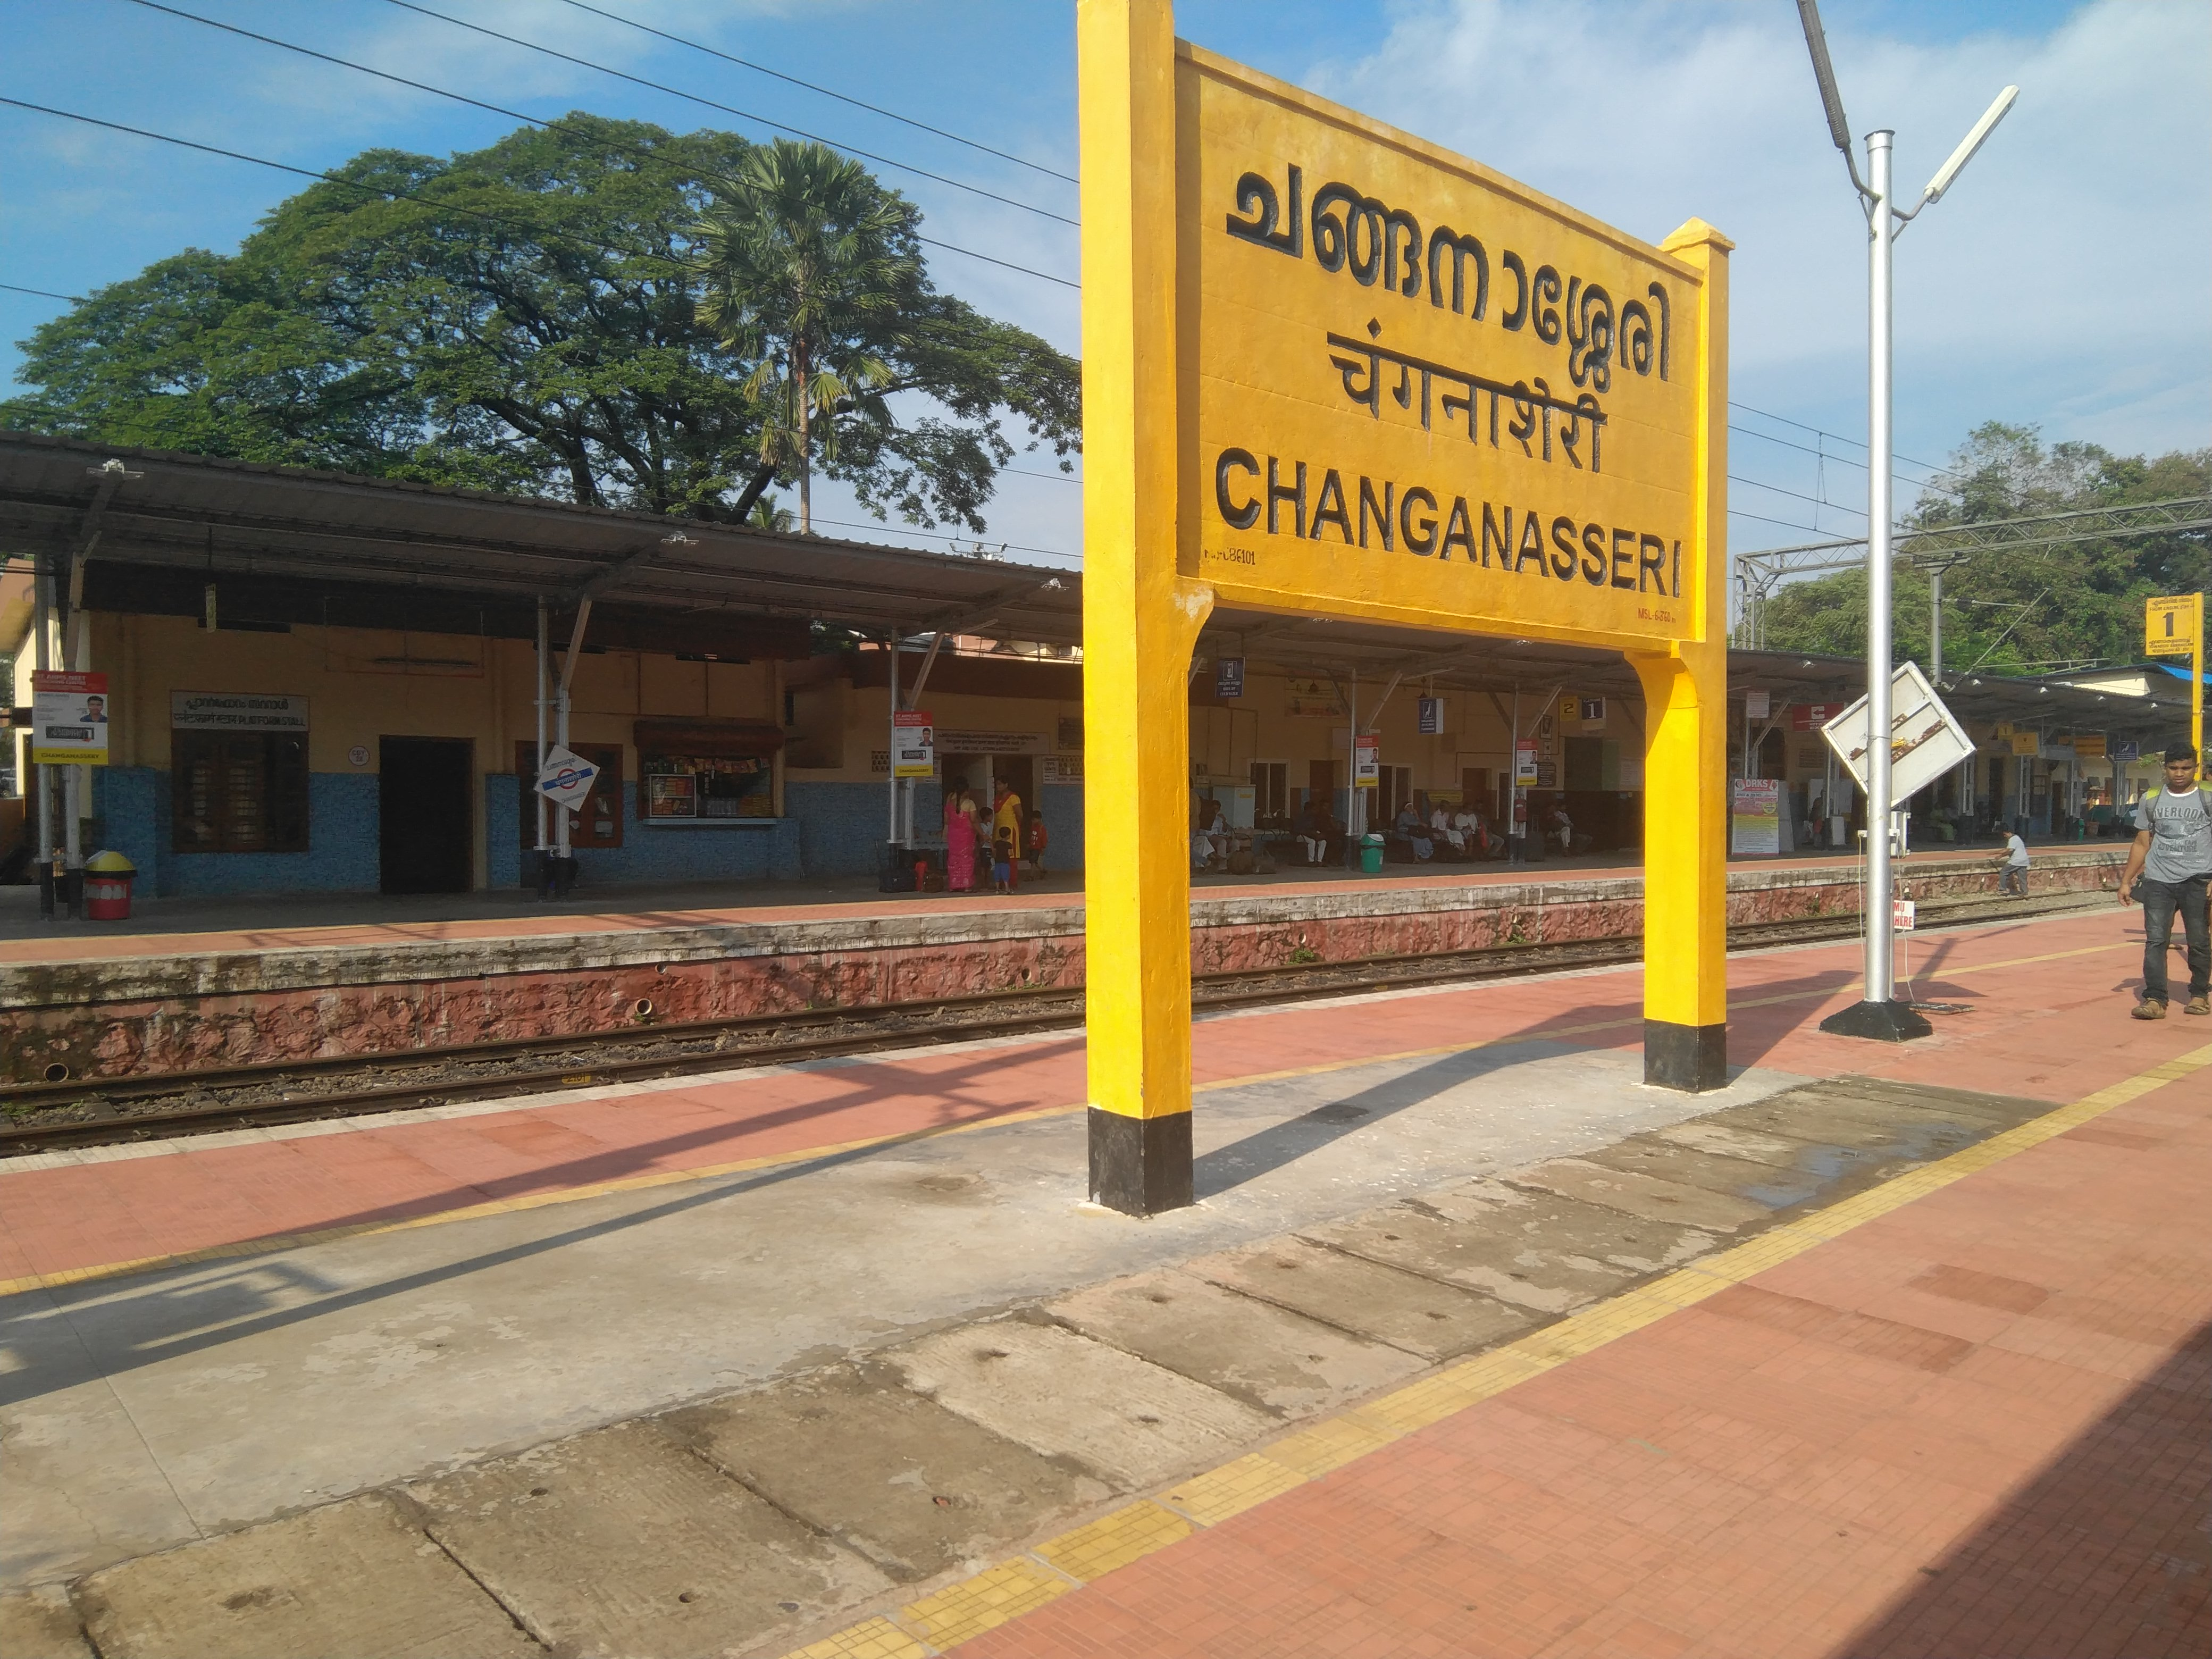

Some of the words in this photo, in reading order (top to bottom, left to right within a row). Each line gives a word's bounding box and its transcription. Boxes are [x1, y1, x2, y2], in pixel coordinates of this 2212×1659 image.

[1216, 149, 1498, 323] ചങ്ങന
[1497, 240, 1679, 396] ാശ്ശേരി
[1323, 312, 1612, 476] चंगनाशेरी
[1214, 440, 1687, 606] CHANGANASSERI
[182, 694, 250, 713] പ്ലാറ്റ്ഫോം
[246, 696, 291, 713] സറാൾ
[170, 706, 216, 726] प्लेटफॉर्म
[213, 712, 240, 727] स्टाल
[237, 712, 283, 727] PLATFORM
[280, 713, 307, 731] STALL
[543, 752, 580, 773] ചങ്ങനാശ്ശേരി
[552, 769, 584, 790] चंगनाशेरी